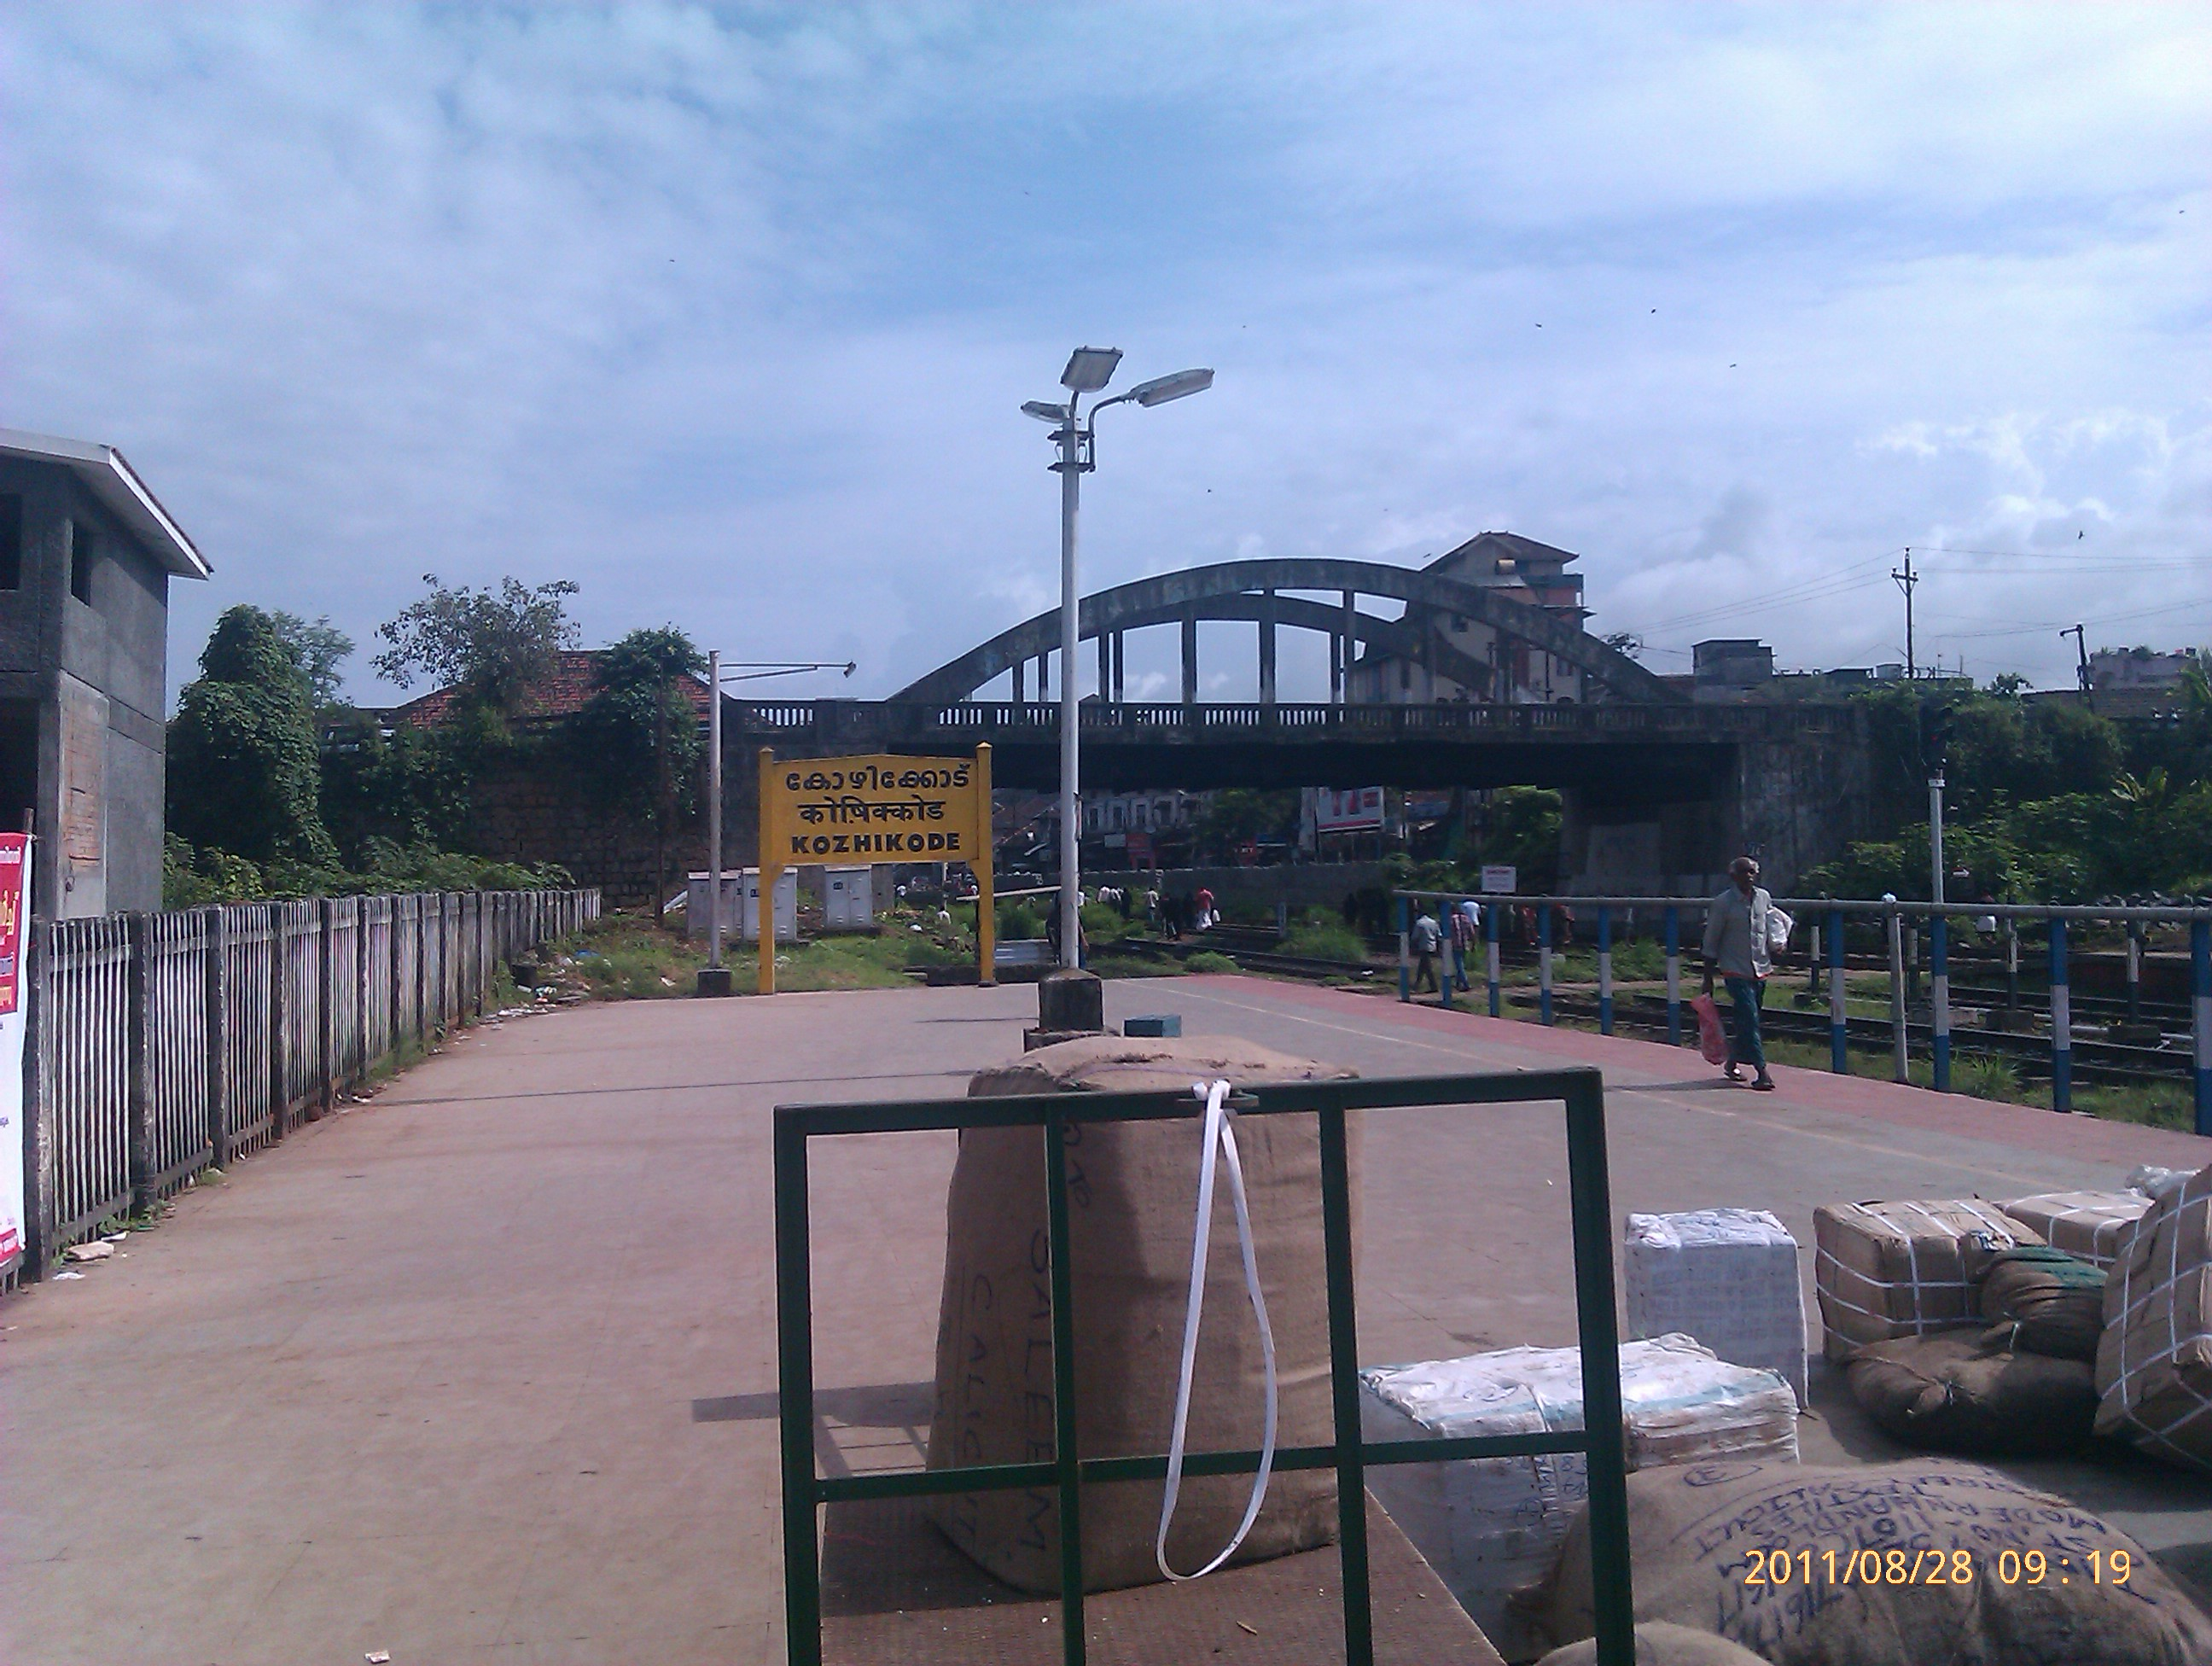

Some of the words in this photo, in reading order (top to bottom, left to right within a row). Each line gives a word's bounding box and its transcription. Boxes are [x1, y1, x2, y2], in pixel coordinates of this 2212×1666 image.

[780, 760, 974, 795] കോഴിക്കോട്
[795, 788, 952, 827] कोष़िक्कोड
[785, 828, 963, 858] KOZHIKODE
[1734, 1547, 1976, 1598] 2011/08/28
[1995, 1540, 2139, 1595] 09:19